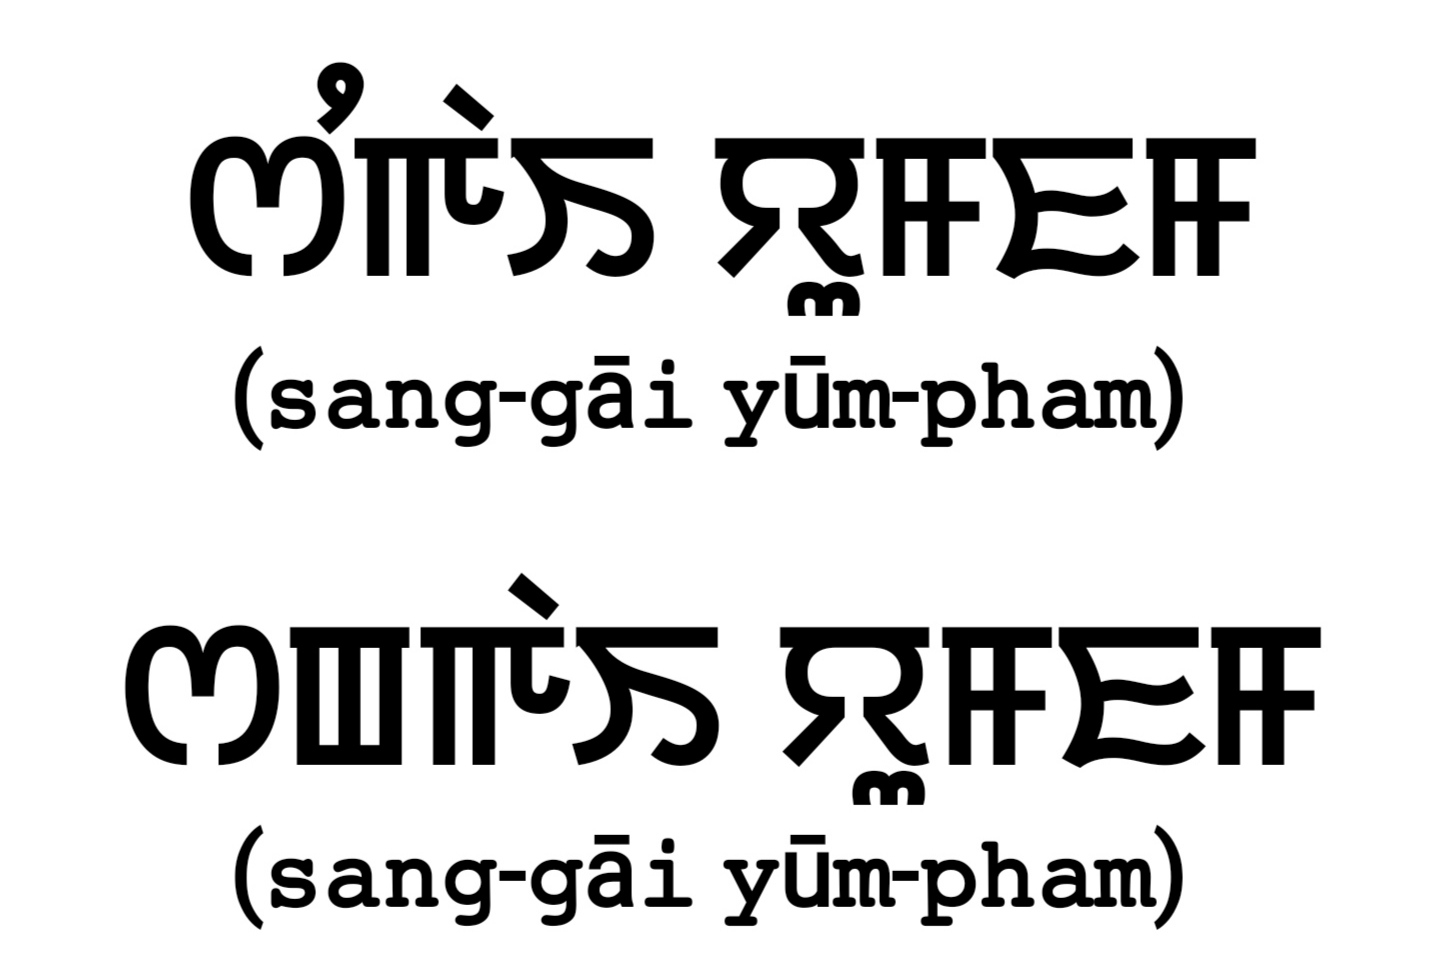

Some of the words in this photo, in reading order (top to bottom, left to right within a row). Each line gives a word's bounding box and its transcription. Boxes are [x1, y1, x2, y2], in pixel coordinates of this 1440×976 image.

[177, 49, 667, 289] ꯁꯪꯒꯥꯏ
[710, 126, 1262, 325] ꯌꯨꯝꯐꯝ
[267, 363, 512, 460] sang
[521, 353, 698, 458] gāi
[716, 353, 904, 450] yūm
[915, 349, 1174, 450] pham
[98, 563, 732, 769] ꯁꯡꯒꯥꯏ
[767, 615, 1325, 811] ꯌꯨꯝꯐꯝ
[264, 844, 509, 934] sang
[520, 833, 698, 935] gai
[715, 830, 905, 931] yūm-
[916, 827, 1173, 928] pham